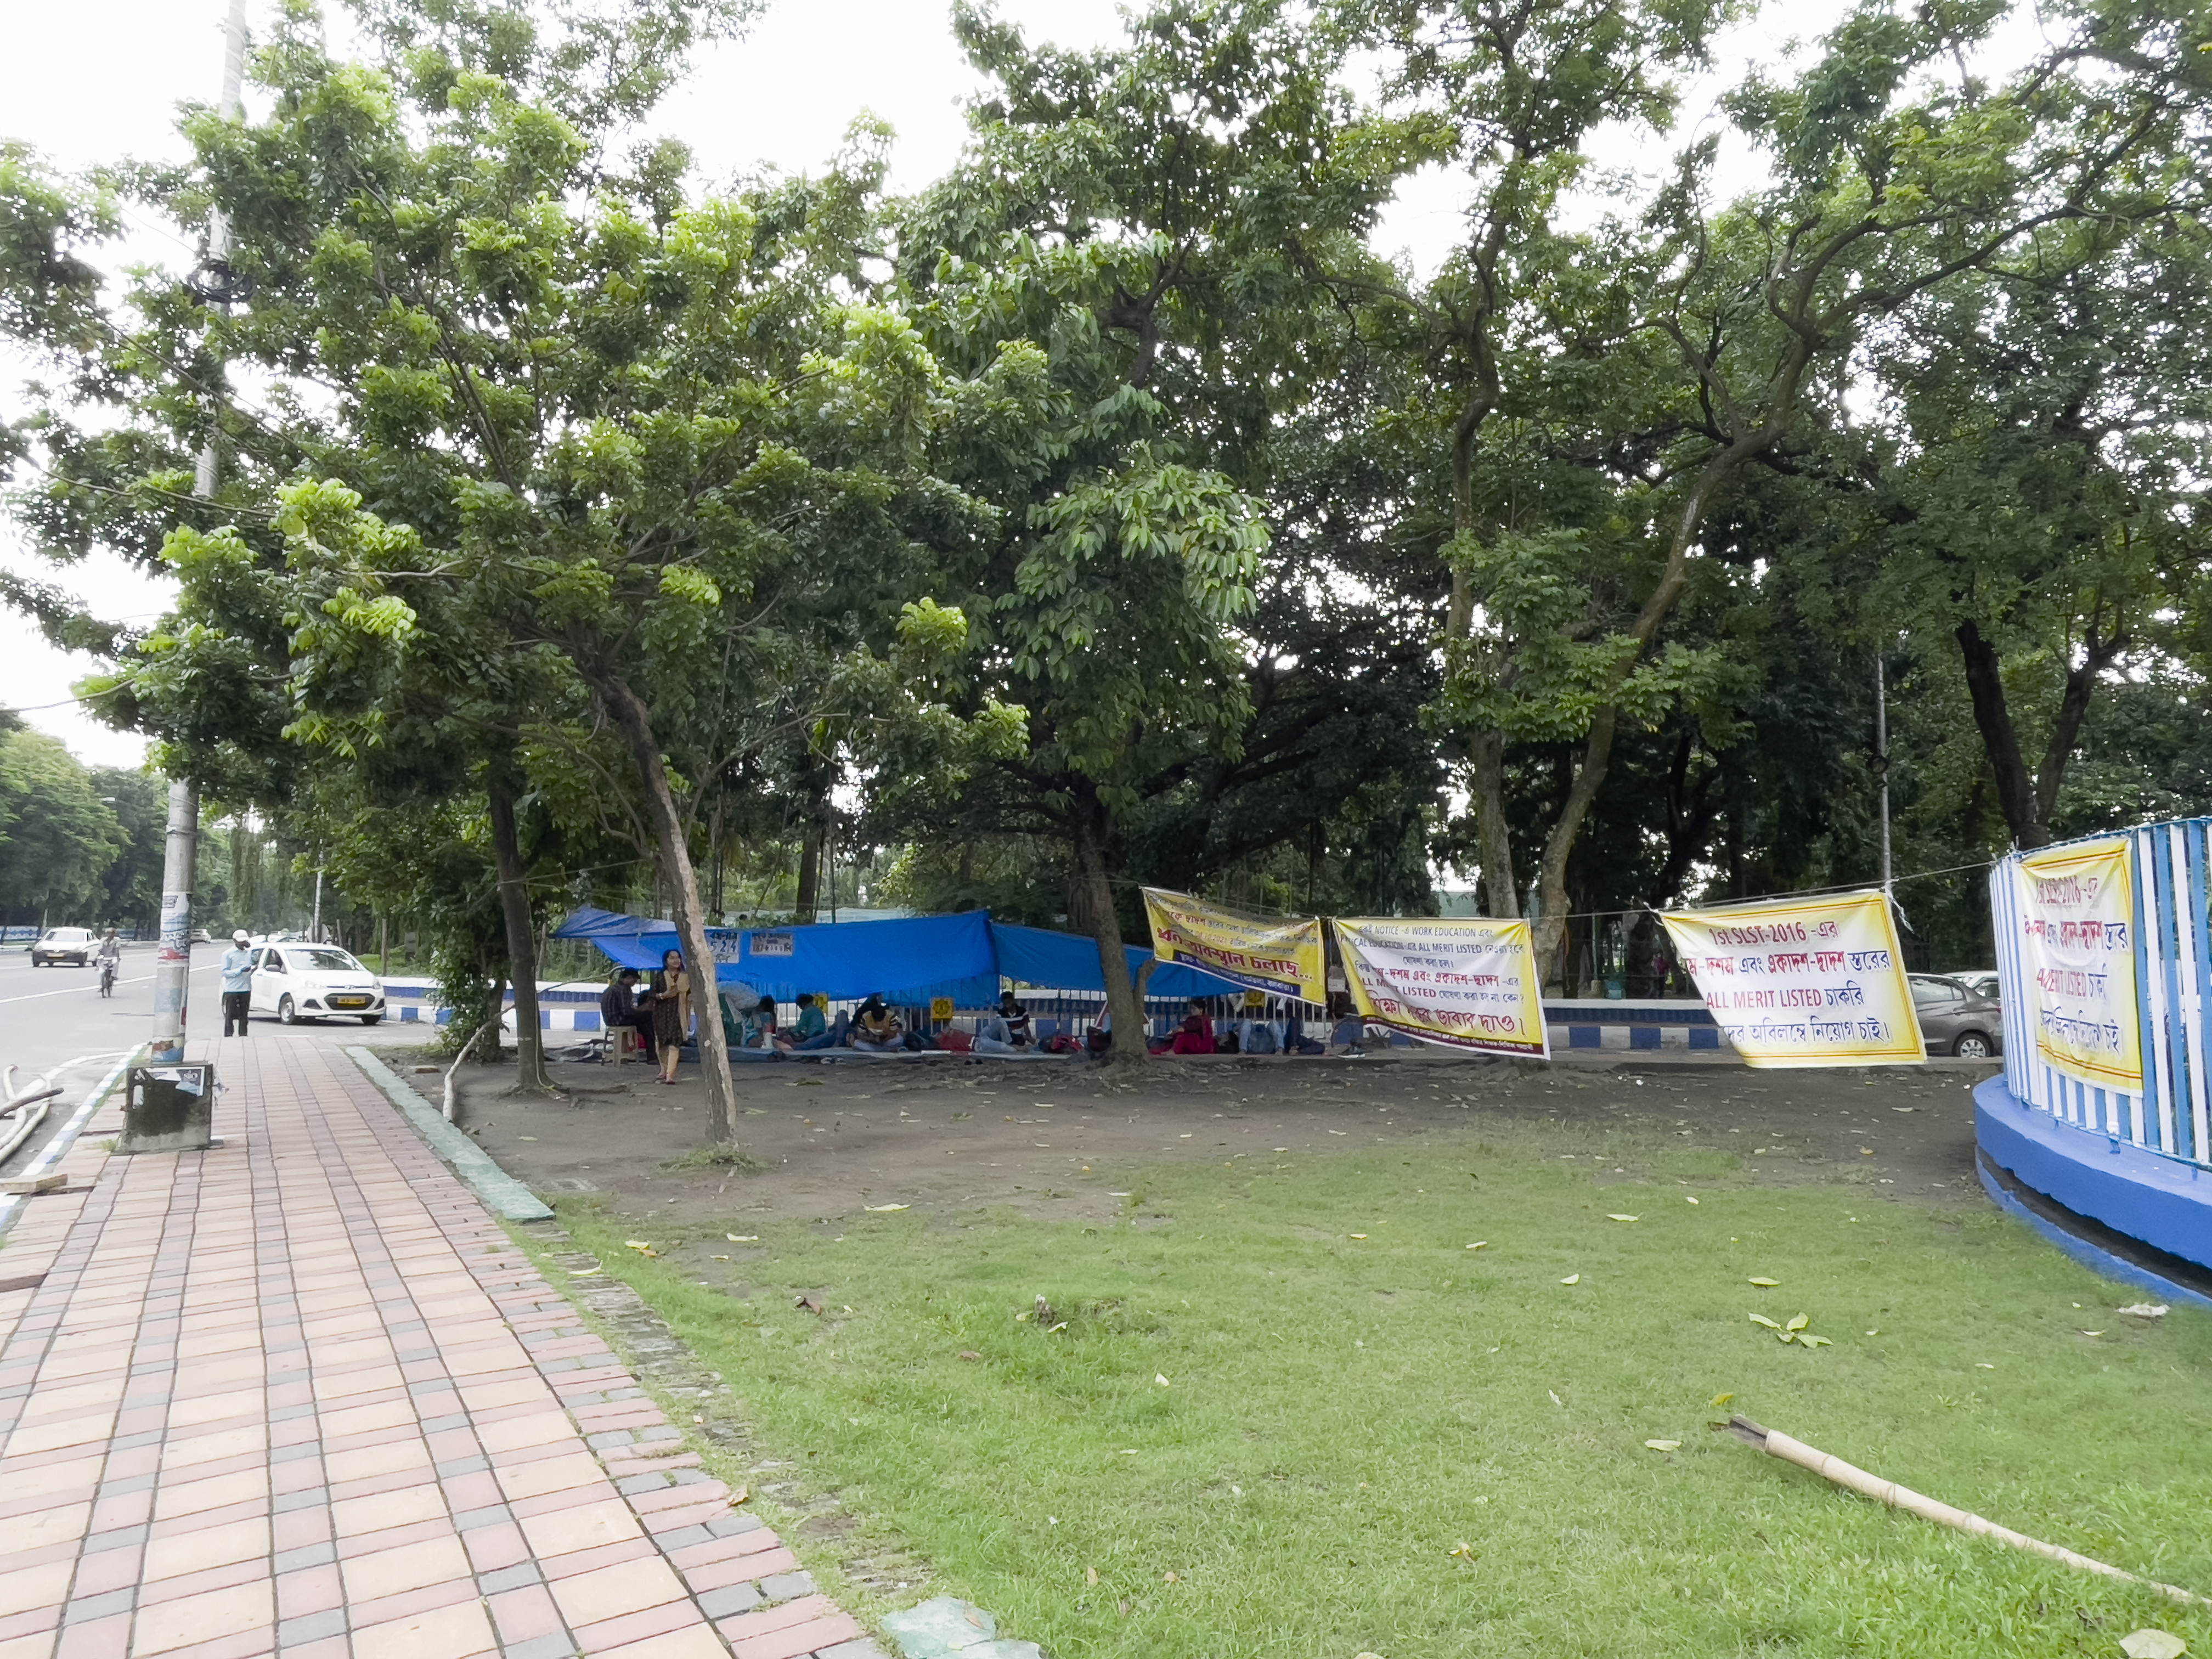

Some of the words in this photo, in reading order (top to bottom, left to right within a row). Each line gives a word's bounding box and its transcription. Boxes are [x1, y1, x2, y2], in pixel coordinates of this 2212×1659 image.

[1156, 926, 1247, 970] ধর্না অবস্থান
[1245, 951, 1301, 981] চলছে
[1362, 988, 1402, 1015] শিক্ষা
[1373, 921, 1400, 939] NOTICE
[1370, 965, 1410, 981] নবম-দশম
[1401, 984, 1438, 1001] LISTED
[1408, 967, 1435, 984] এবং
[1410, 922, 1435, 938] WORK
[1416, 941, 1432, 956] ALL
[1401, 953, 1455, 972] ঘোষণা করা হল।
[1430, 940, 1456, 954] MERIT
[1430, 970, 1471, 986] একাদশ
[1437, 987, 1464, 1001] ঘোষণা
[1432, 922, 1479, 940] EDUCATION
[1451, 939, 1484, 956] LISTED
[1461, 990, 1482, 1003] করা
[1469, 972, 1503, 989] ছাদশ
[1479, 989, 1522, 1005] হল না কেন ?
[1483, 938, 1525, 956] নেওয়া হবে
[1703, 989, 1730, 1011] ALL
[1701, 922, 1734, 948] 1st
[1702, 950, 1736, 977] দশম
[1736, 952, 1767, 977] এবং
[1731, 985, 1777, 1010] MERIT
[1729, 919, 1811, 946] SLST-2016
[1765, 948, 1814, 978] একাদশ
[1779, 986, 1826, 1010] LISTED
[1813, 918, 1841, 945] এর
[1810, 947, 1849, 975] দ্বাদশ
[1821, 975, 1867, 1009] চাকরি
[1846, 942, 1893, 974] স্তরের
[1430, 1006, 1481, 1030] জাবার
[1476, 1011, 1518, 1036] দাও
[1745, 1012, 1808, 1045] অবিলম্বে
[1804, 1010, 1860, 1044] নিয়োগ
[1855, 1014, 1892, 1042] চাই৷